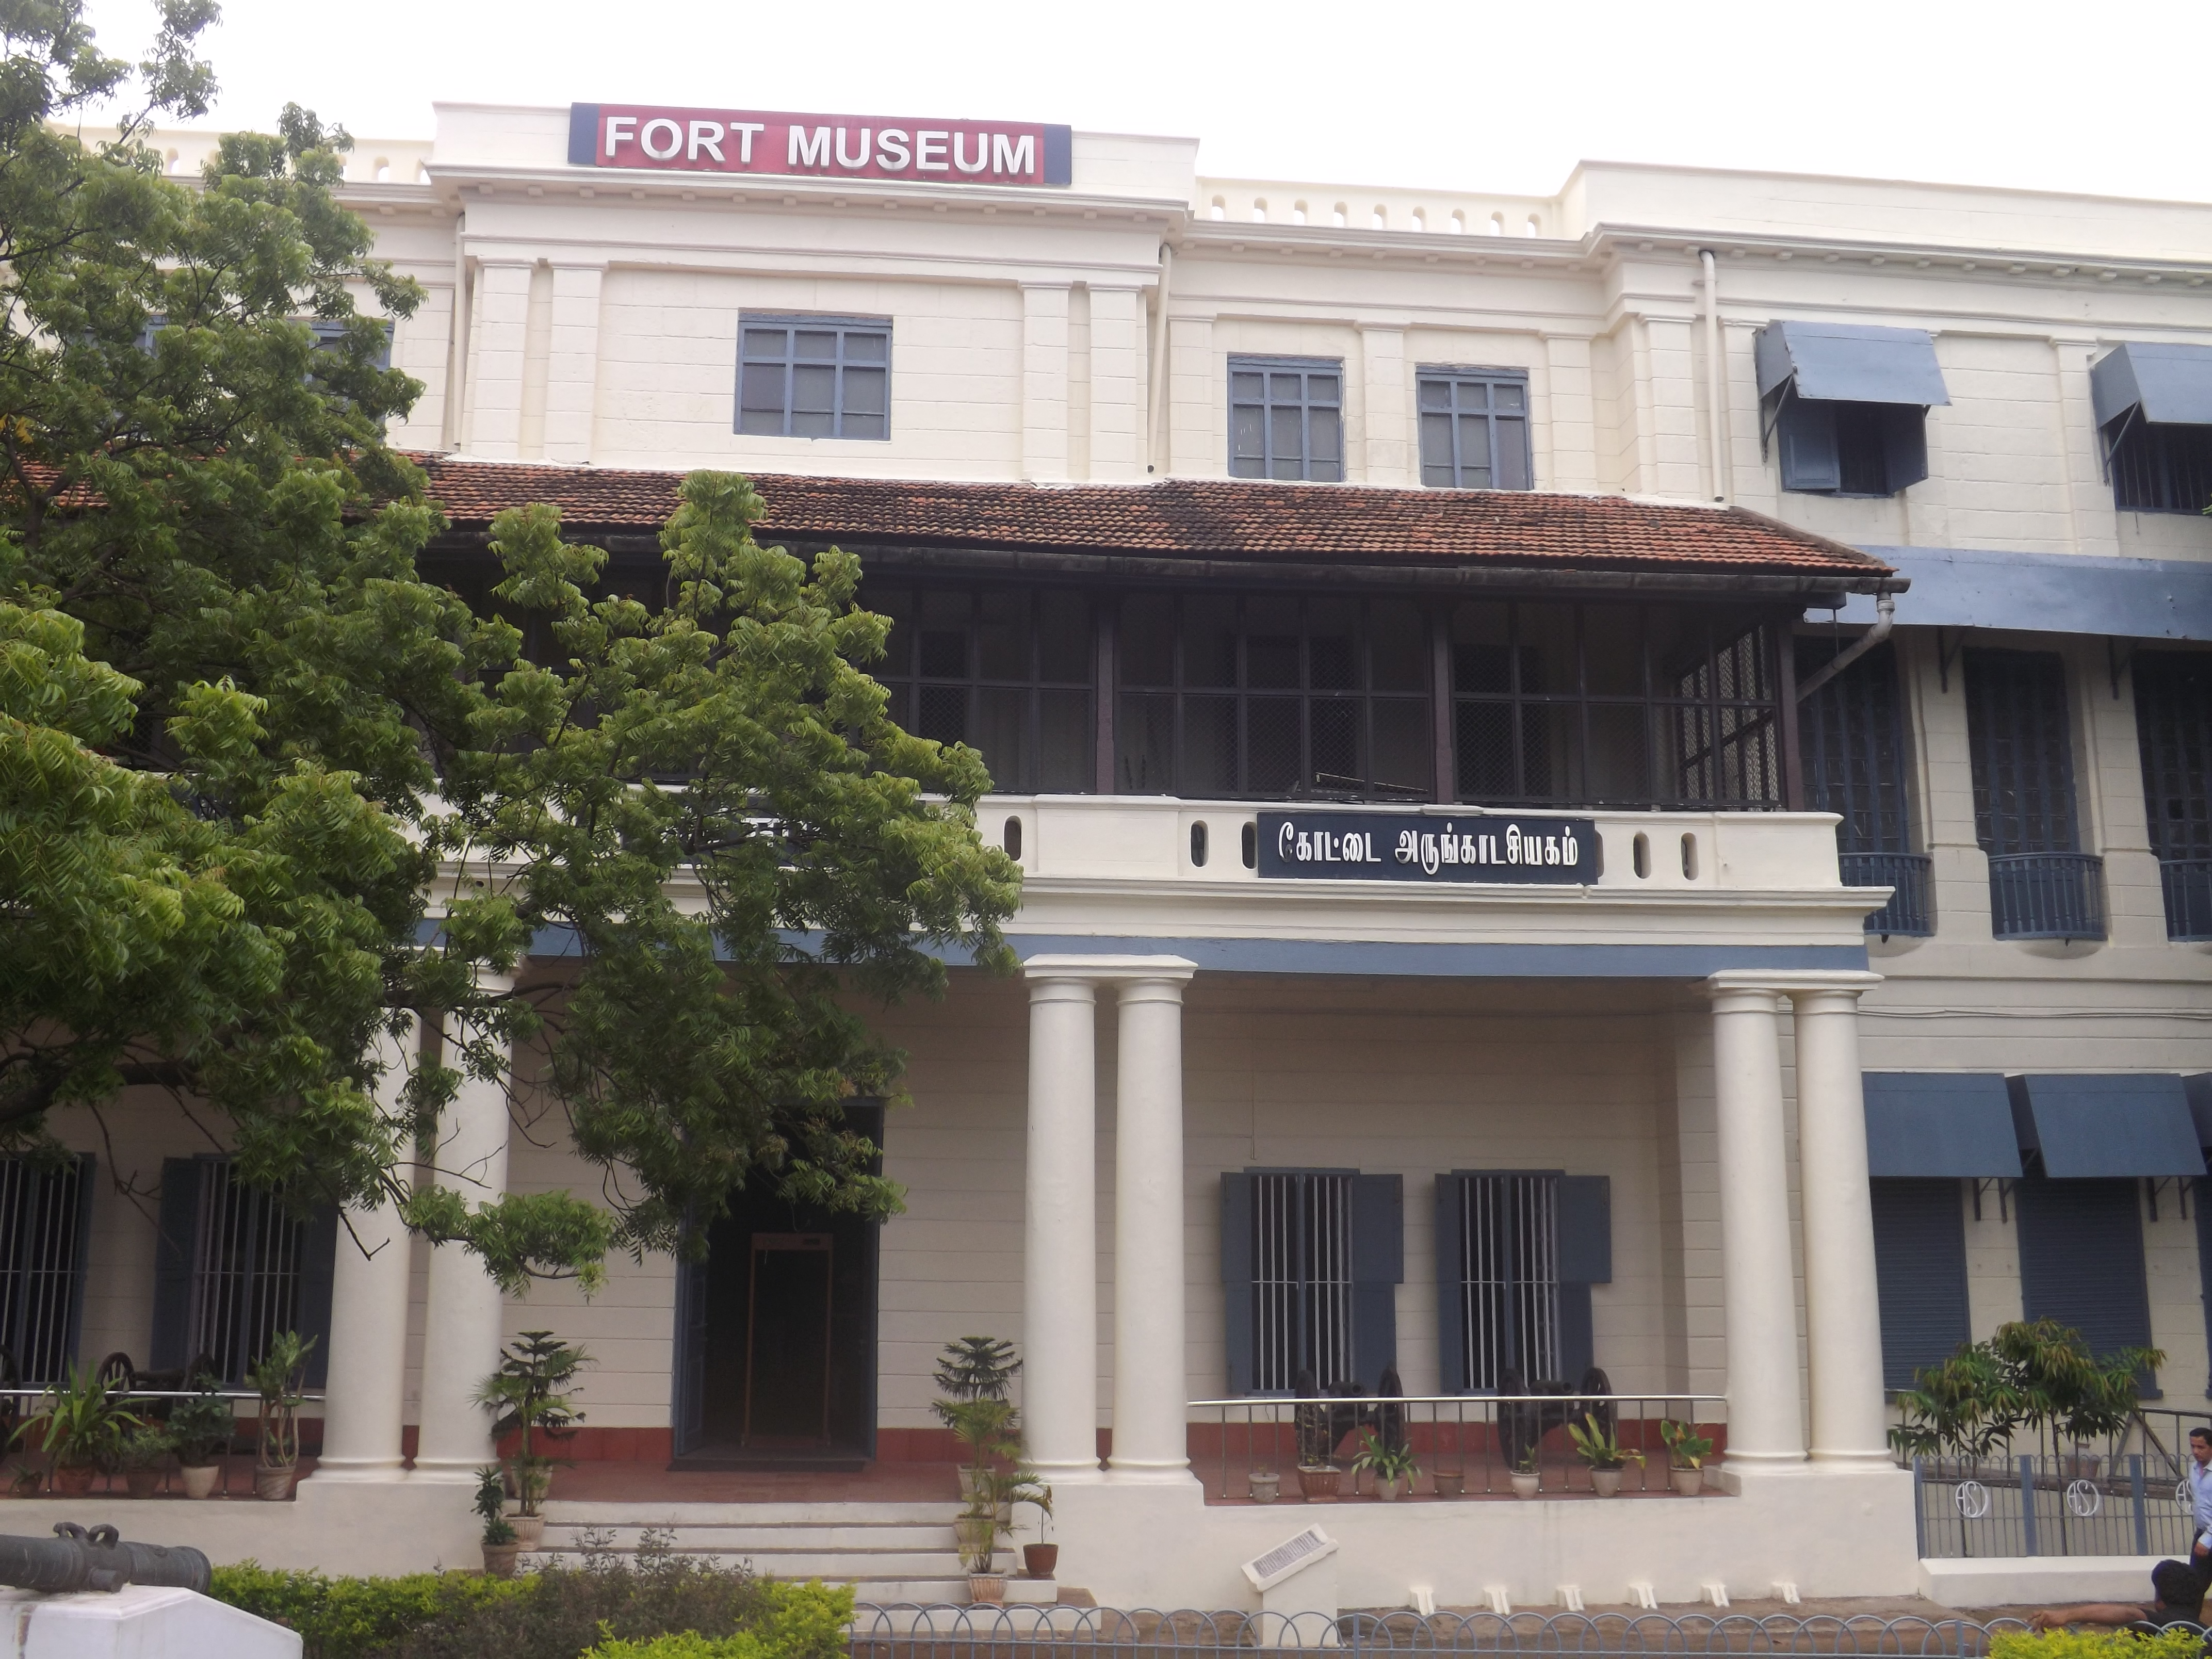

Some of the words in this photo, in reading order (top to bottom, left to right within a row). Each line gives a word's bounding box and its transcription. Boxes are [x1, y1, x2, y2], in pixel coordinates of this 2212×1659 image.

[600, 113, 767, 166] FORT
[787, 122, 1037, 177] MUSEUM
[1274, 818, 1383, 865] கோட்டை
[1395, 819, 1579, 878] அருங்காடசியகம்